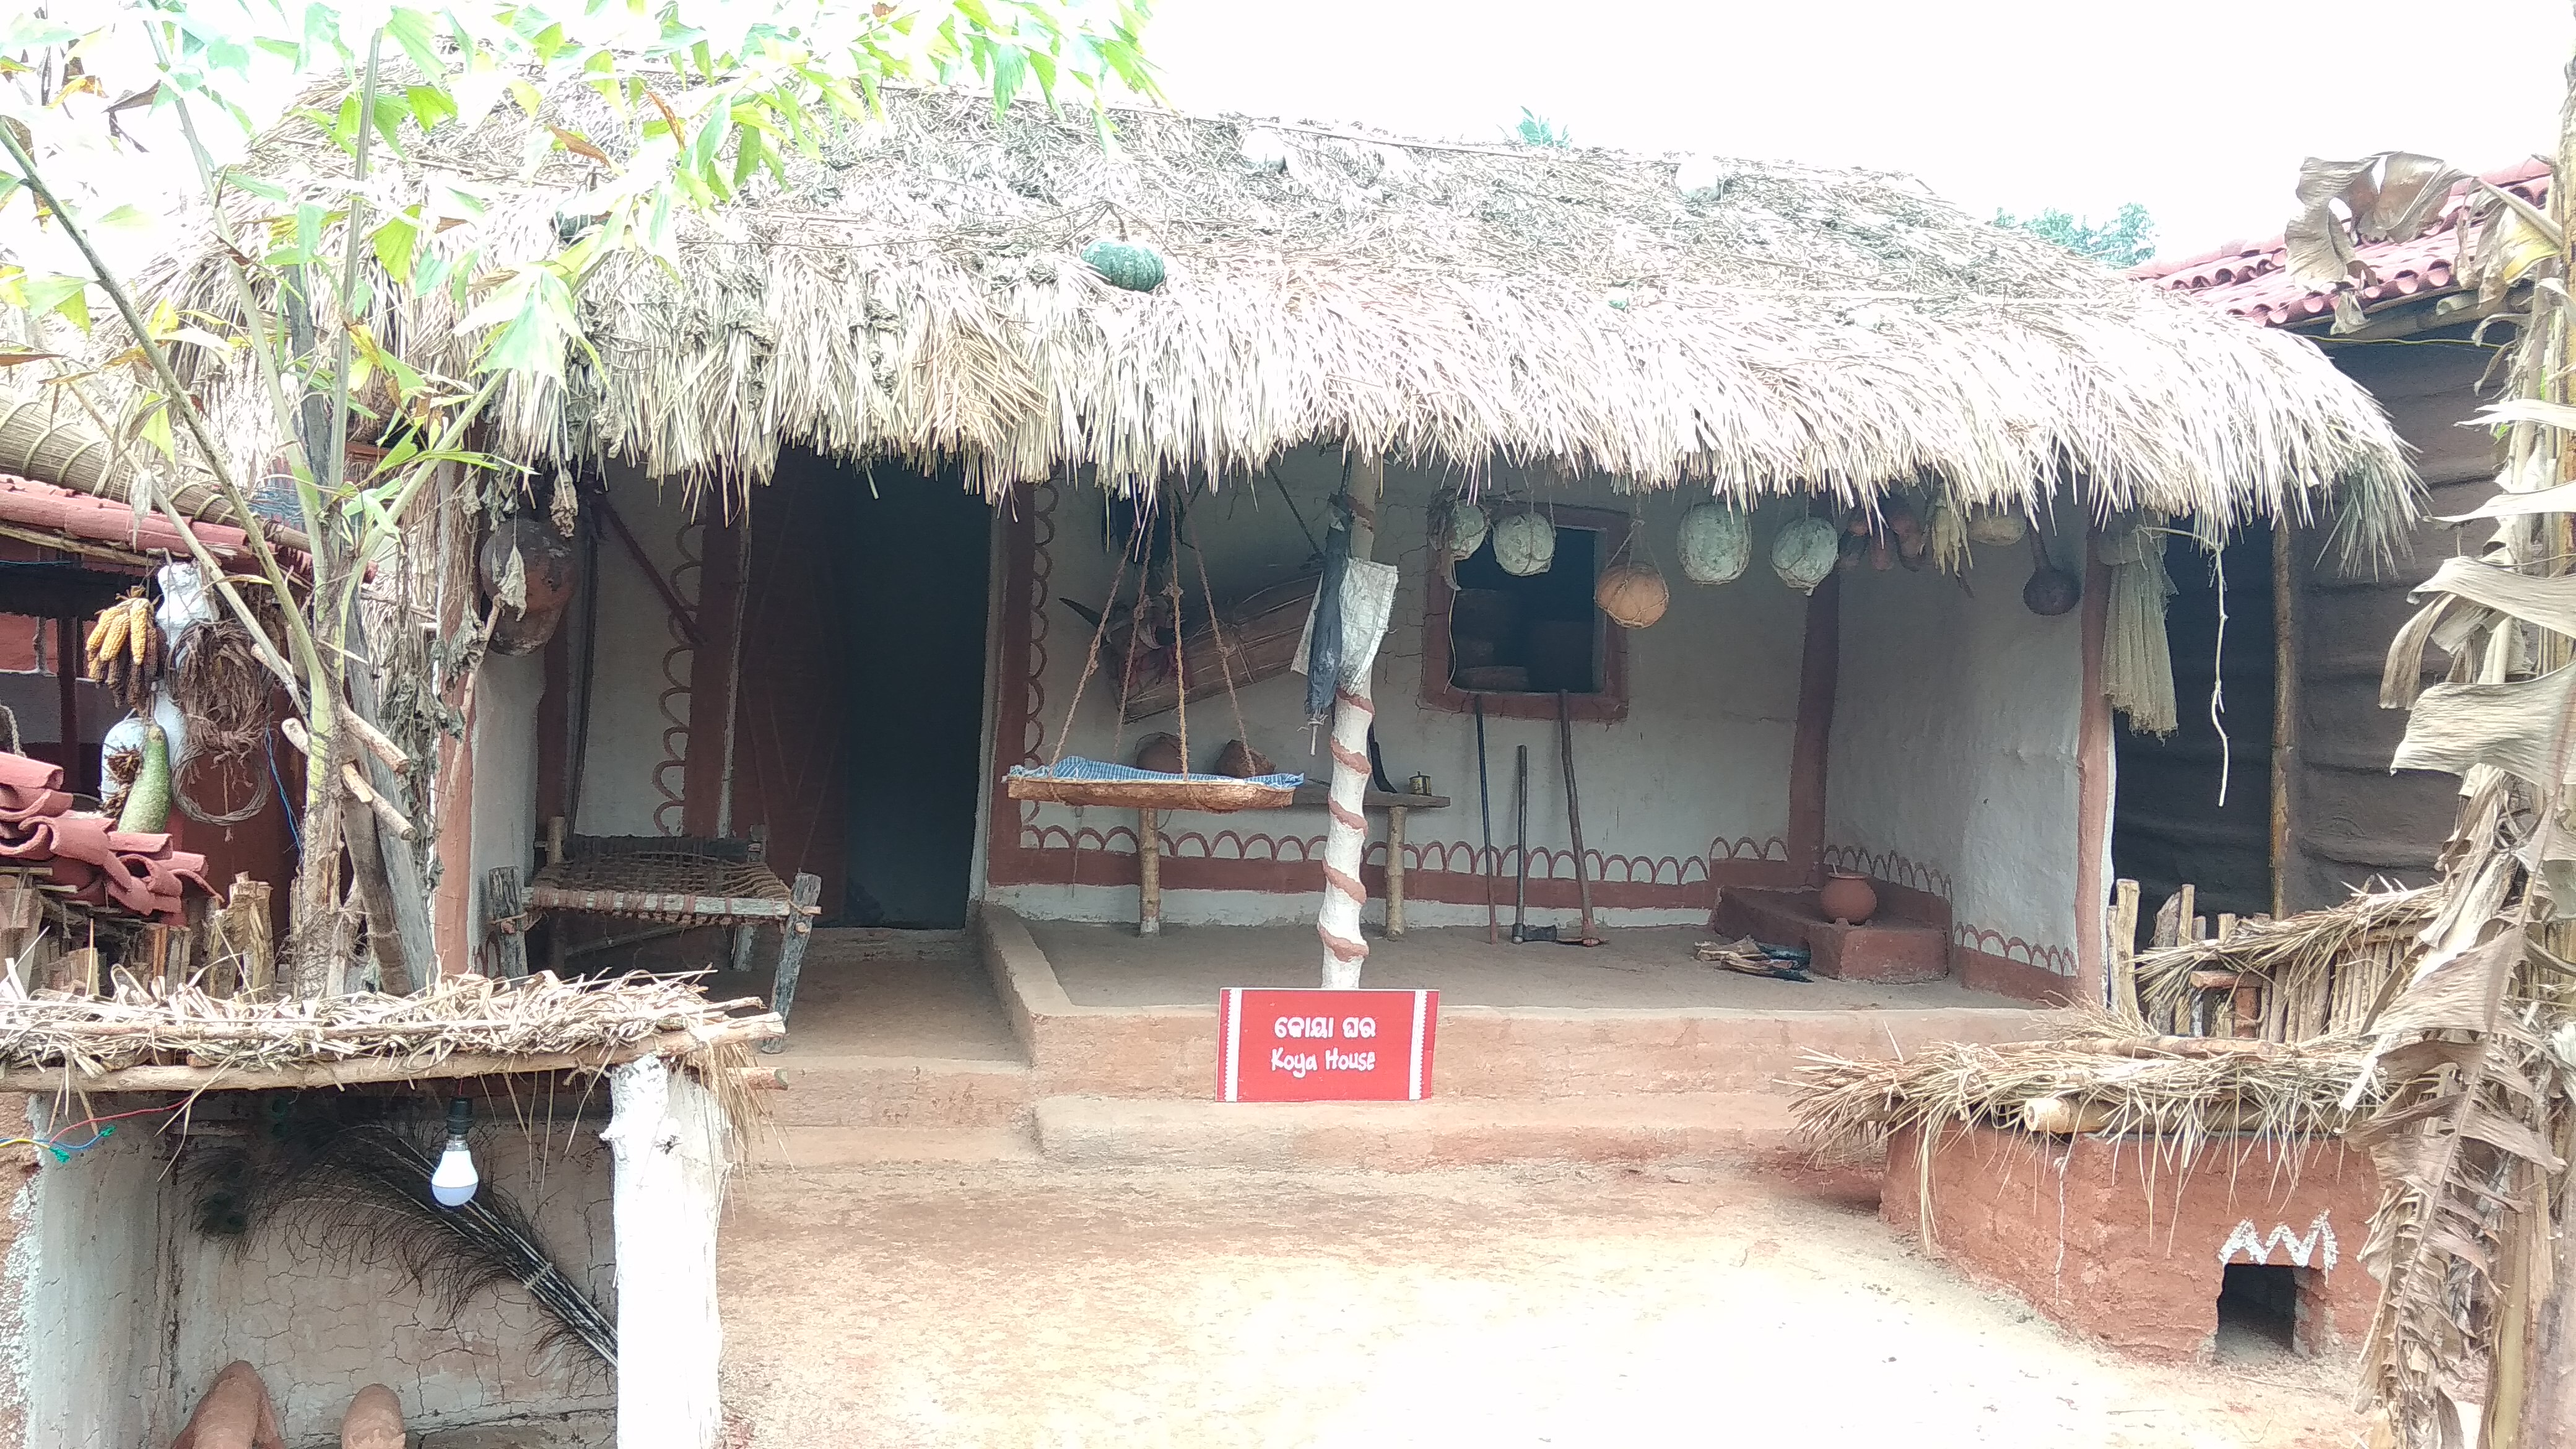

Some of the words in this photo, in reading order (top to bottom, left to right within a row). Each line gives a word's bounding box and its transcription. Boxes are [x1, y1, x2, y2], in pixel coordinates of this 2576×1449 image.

[1271, 1011, 1338, 1043] କୋୟା
[1336, 1011, 1378, 1041] ଘର
[1264, 1042, 1323, 1077] Koya
[1318, 1040, 1378, 1075] House